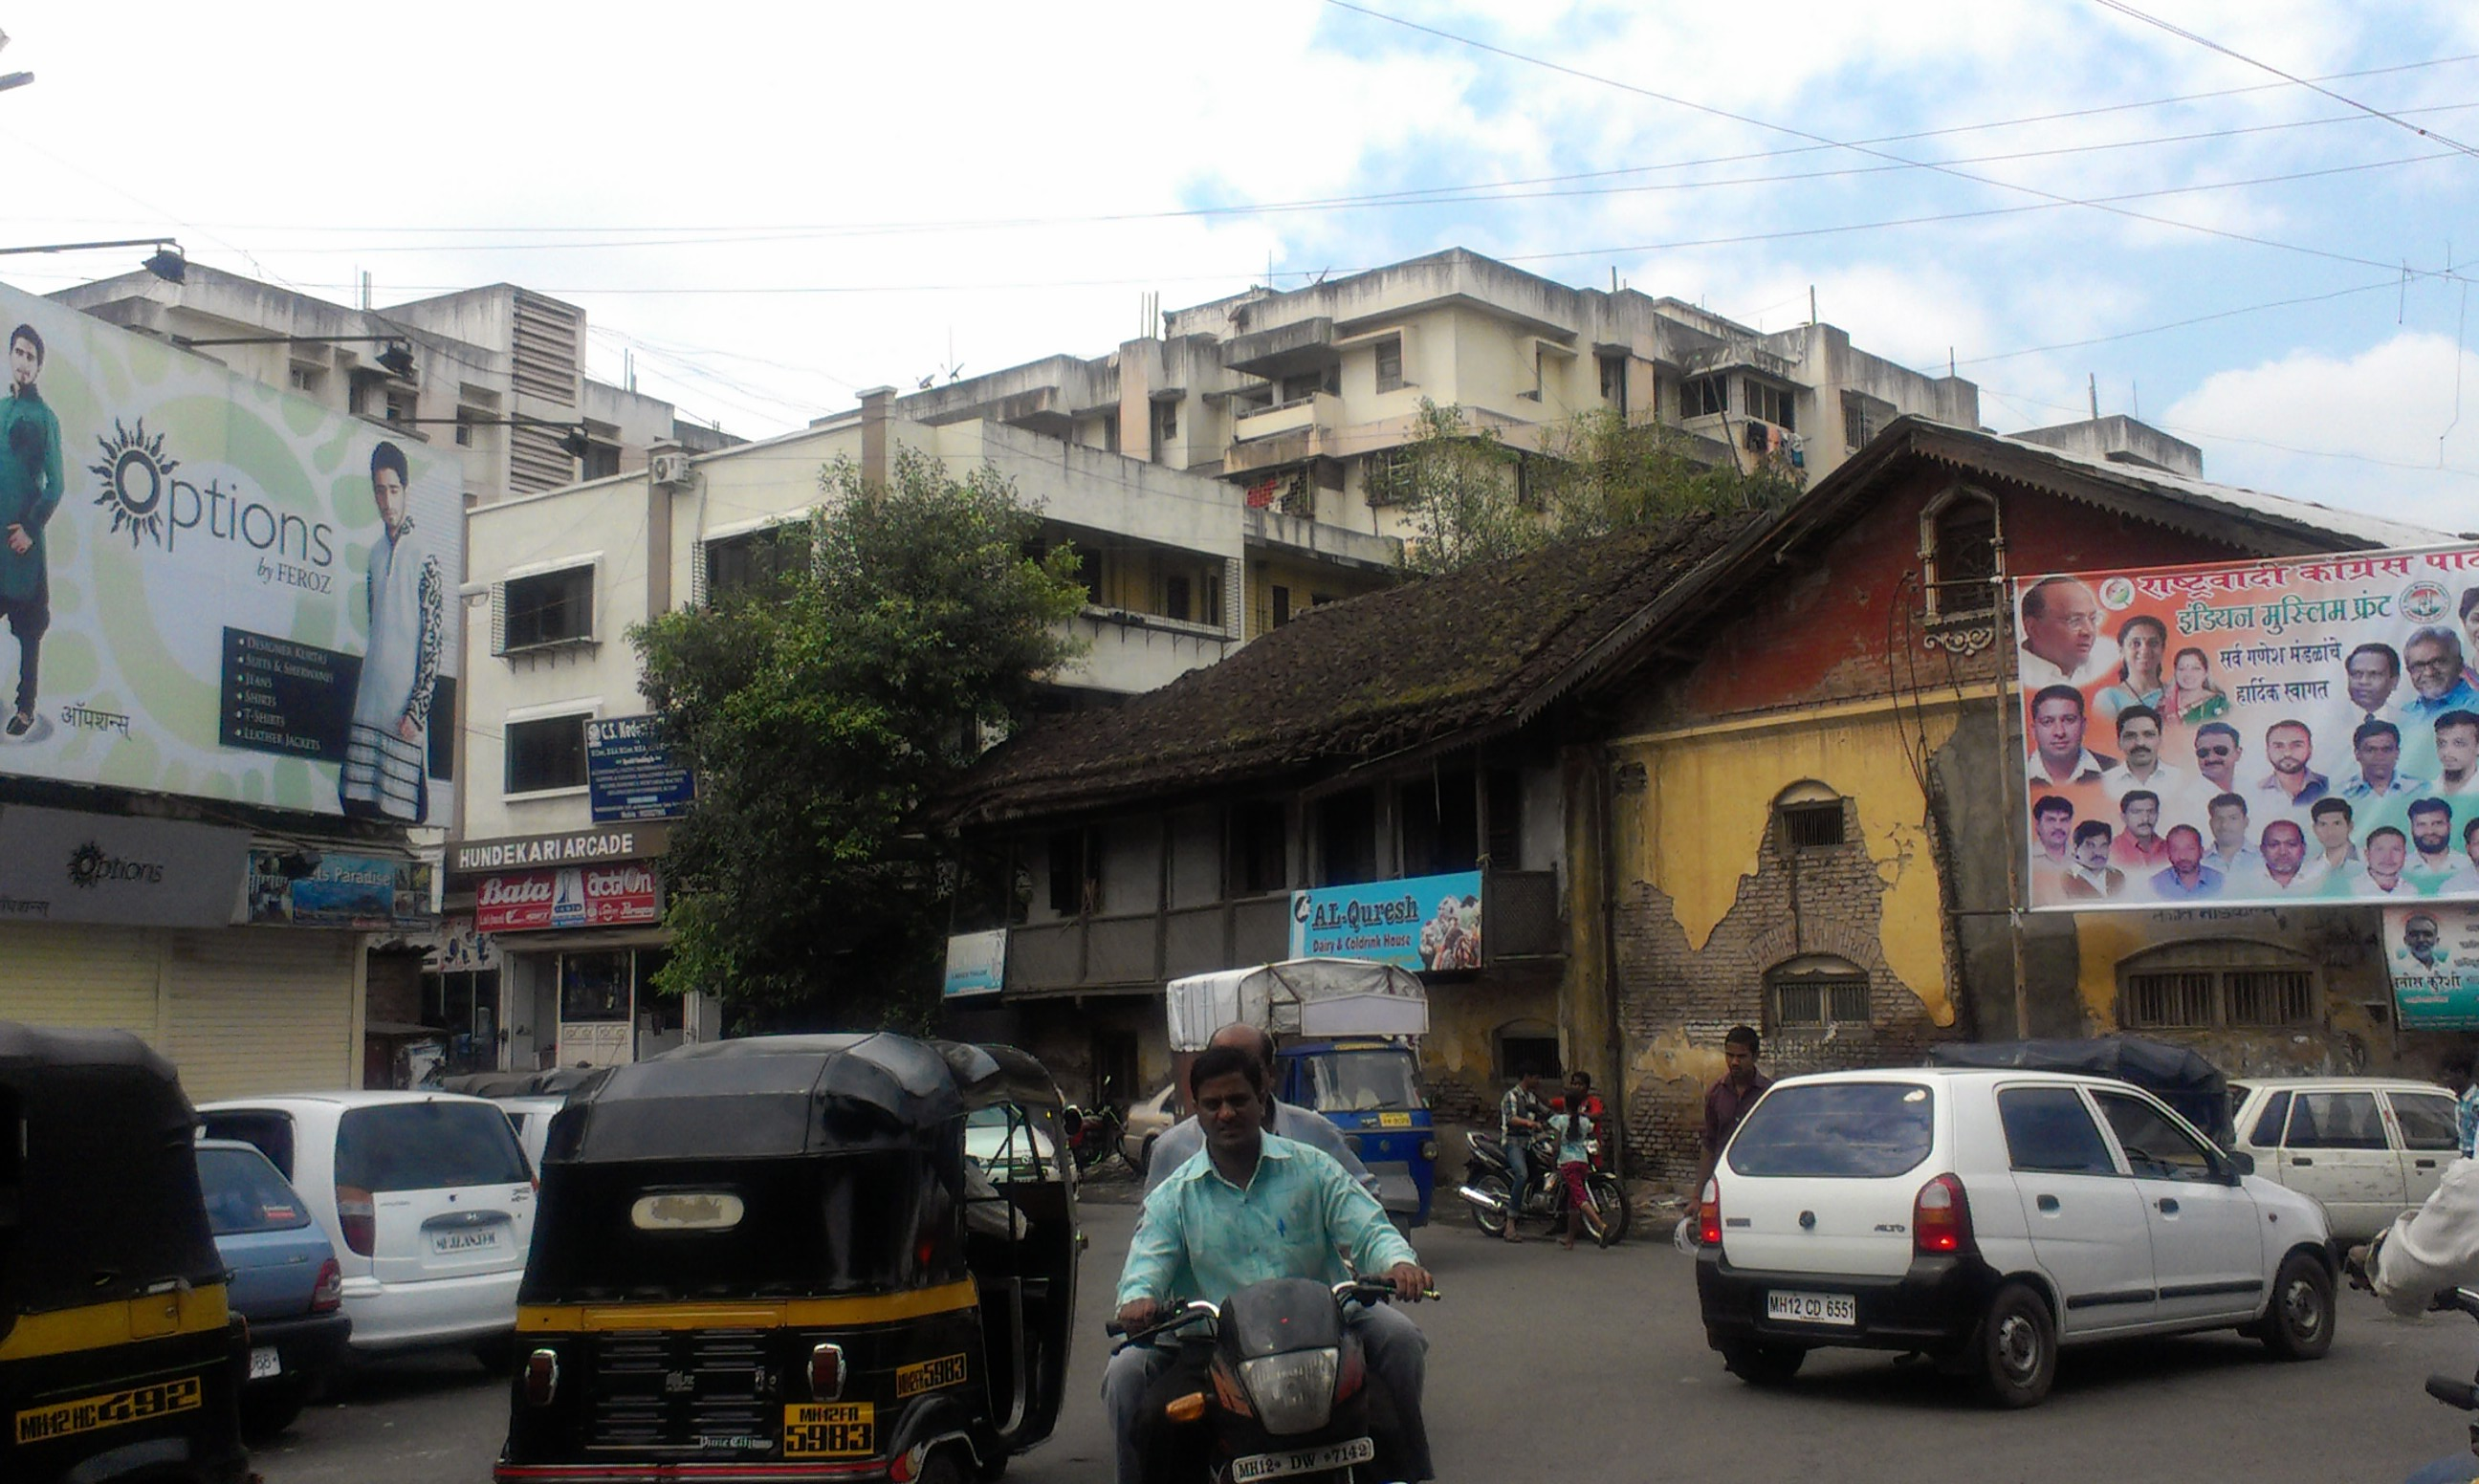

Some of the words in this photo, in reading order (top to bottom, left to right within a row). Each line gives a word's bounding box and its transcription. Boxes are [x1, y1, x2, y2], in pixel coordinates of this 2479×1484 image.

[76, 409, 345, 569] options
[249, 554, 277, 591] by
[274, 556, 341, 600] FEROZ
[2133, 557, 2295, 605] राष्ट्रवादी
[2293, 545, 2420, 585] कांग्रेस
[2165, 599, 2259, 640] इंडियन
[2255, 589, 2349, 639] मुस्लिम
[2347, 586, 2398, 625] फ्रंट
[2214, 637, 2249, 676] सर्व
[2246, 637, 2289, 669] गणेश
[2287, 631, 2348, 672] मंडळाचे
[2228, 671, 2285, 712] हार्दिक
[2282, 676, 2334, 709] स्वागत
[56, 697, 137, 751] ऑपशन्स्
[454, 825, 640, 872] HUNDEKARIARCADE
[476, 870, 555, 908] Bata
[583, 863, 656, 902] action
[1306, 890, 1424, 937] AL.Quresh
[1308, 933, 1336, 957] Dairy
[1334, 932, 1346, 951] &
[1344, 931, 1381, 953] Coldrink
[1382, 930, 1415, 949] House
[1766, 1294, 1803, 1317] MH12
[1802, 1296, 1823, 1317] CD
[1824, 1296, 1856, 1319] 6551
[15, 1397, 97, 1445] MH12HC
[95, 1375, 200, 1428] 492
[793, 1403, 864, 1424] MH12FR
[784, 1422, 875, 1458] 5983
[1234, 1454, 1276, 1480] MH12
[1286, 1448, 1320, 1475] DW
[1329, 1438, 1372, 1468] 7142)